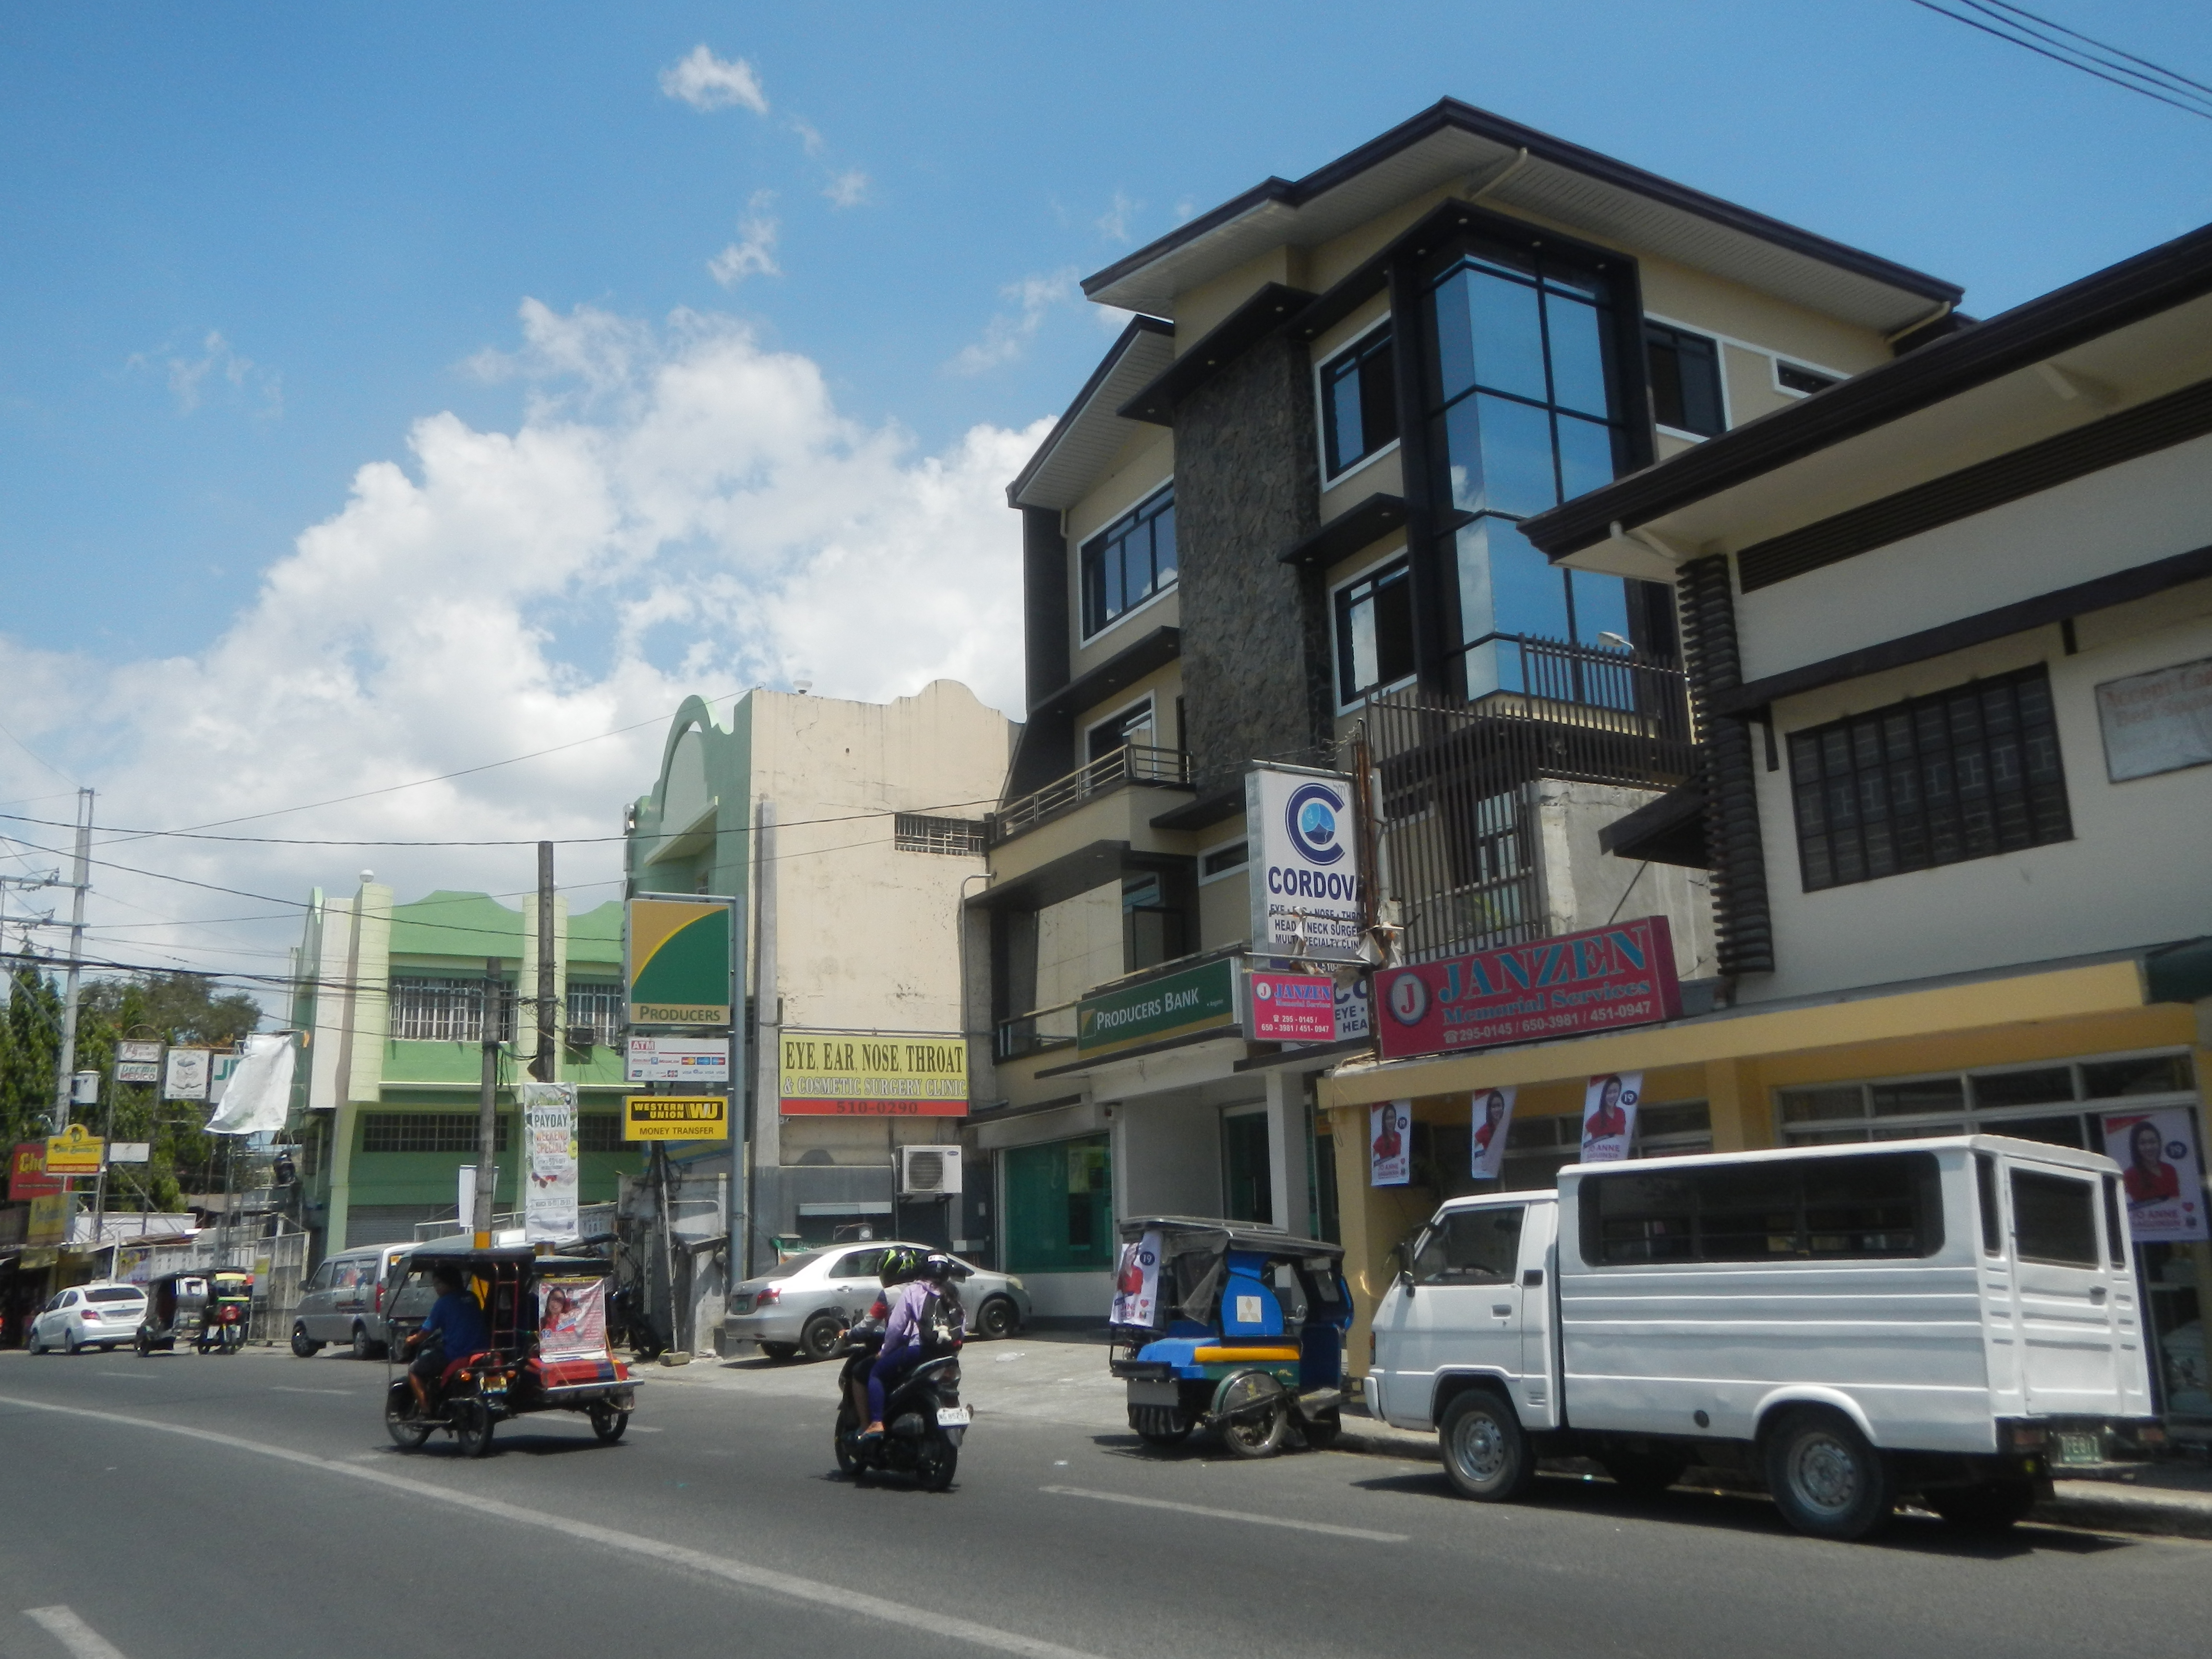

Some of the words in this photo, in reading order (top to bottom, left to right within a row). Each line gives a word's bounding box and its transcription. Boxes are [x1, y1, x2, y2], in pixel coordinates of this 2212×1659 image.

[1267, 865, 1356, 903] CORDOV
[1271, 917, 1299, 933] HEAD
[1304, 919, 1331, 938] NECK
[1329, 922, 1363, 938] SURGER
[1434, 921, 1657, 1008] JANZEN
[636, 1004, 723, 1024] PRODUCERS
[1096, 994, 1163, 1034] PRODUCERS
[1163, 985, 1203, 1016] BANK
[1257, 983, 1271, 1000] J
[1258, 1022, 1295, 1034] 650-3981
[1280, 1012, 1315, 1024] 295-0145
[1273, 981, 1332, 1002] JANZEN
[1298, 1023, 1331, 1034] 451-0947
[1334, 1003, 1358, 1023] EYE
[1341, 1016, 1370, 1036] HEA
[1390, 978, 1423, 1018] J
[1458, 1019, 1515, 1044] 295-0145
[1438, 989, 1550, 1029] Memorial
[1520, 1010, 1581, 1037] 650-3981
[1546, 973, 1656, 1012] Services
[1589, 997, 1658, 1028] 451-0947
[631, 1041, 656, 1050] ATM
[783, 1038, 821, 1076] EYE,
[822, 1037, 860, 1076] EAR,
[860, 1038, 905, 1076] NOSE,
[903, 1040, 966, 1076] THROAT
[781, 1073, 796, 1097] &
[794, 1074, 864, 1098] COSMETIC
[862, 1075, 924, 1098] SURGERY
[924, 1075, 970, 1099] CLINIC
[532, 1113, 569, 1130] PAYDAY
[636, 1125, 672, 1137] MONEY
[632, 1101, 685, 1112] WESTERN
[647, 1110, 686, 1121] UNION
[671, 1125, 718, 1137] TRANSFER
[832, 1099, 923, 1116] 510-0290
[1621, 1091, 1637, 1105] 19
[1140, 1251, 1155, 1265] 19